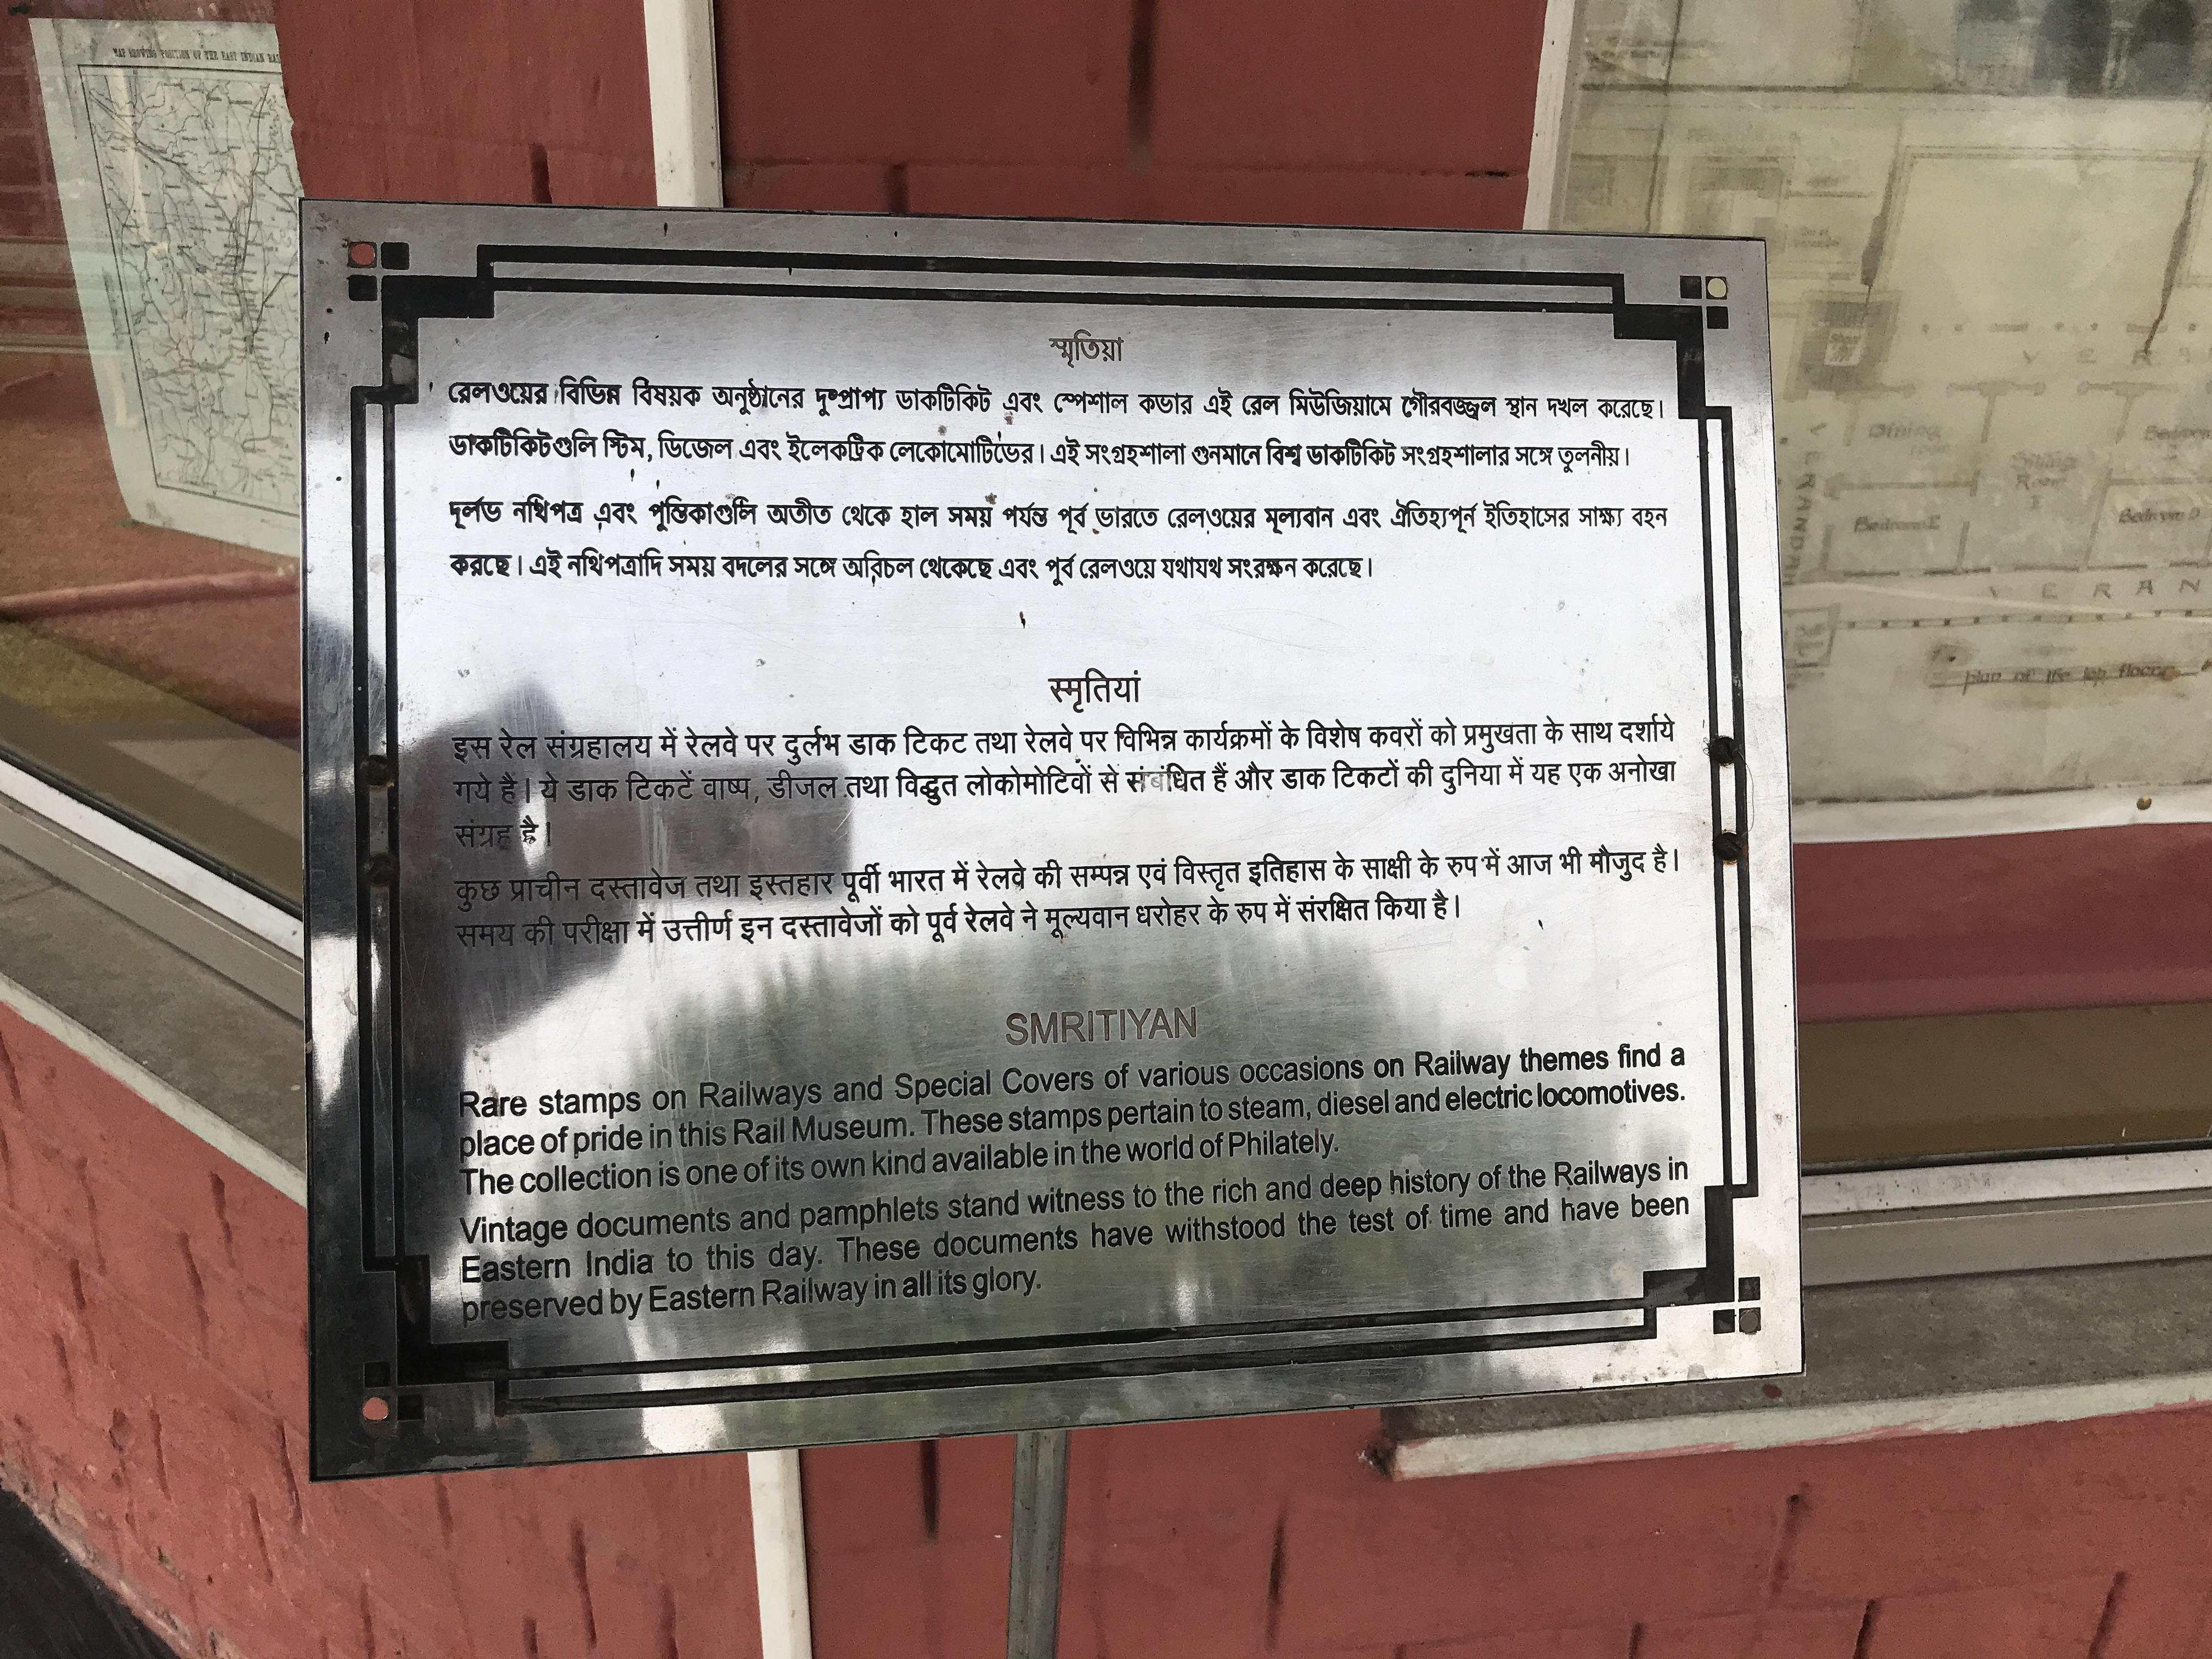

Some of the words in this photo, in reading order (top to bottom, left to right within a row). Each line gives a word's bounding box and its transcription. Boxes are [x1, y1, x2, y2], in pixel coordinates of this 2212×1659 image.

[1045, 318, 1132, 375] স্মৃতিয়া
[440, 381, 556, 416] রেলওয়ের
[558, 368, 625, 413] বিভিন্ন
[623, 368, 713, 413] বিষয়ক
[703, 373, 816, 422] অনুষ্ঠানের
[809, 380, 895, 420] দুষ্প্রাপ্য
[888, 374, 998, 417] ডাকটিকিট
[994, 385, 1048, 420] এবং
[1045, 383, 1135, 424] স্পেশাল
[1131, 391, 1197, 418] কভার
[1200, 375, 1239, 421] এই
[1233, 386, 1287, 427] রেল
[1278, 380, 1397, 424] মিউজিয়ামে
[1393, 384, 1503, 422] গৌরবজ্জ্বল
[1502, 393, 1542, 420] স্থান
[1542, 394, 1594, 420] দখল
[1589, 393, 1659, 424] করেছে
[445, 420, 646, 467] ডাকটিকিটগুলি স্টিম
[644, 417, 742, 467] ডিজেল
[738, 428, 782, 469] এবং
[780, 428, 891, 470] ইলেকট্রিক
[883, 426, 1040, 469] লেকোমোটিভের
[1049, 432, 1194, 474] এইসংগ্রহশালা
[1185, 430, 1401, 477] গুনমানে বিশ্ব ডাকটিকিট
[1388, 439, 1514, 472] টসংগ্রহশালার
[1508, 435, 1625, 477] সঙ্গে তুলনীয়
[439, 490, 509, 533] দূর্লভ
[509, 486, 587, 531] নথিপত্র
[588, 495, 642, 534] এবং
[651, 488, 766, 538] পুস্তিকাগুলি
[760, 485, 844, 531] অতীত
[838, 497, 946, 540] থেকে হাল
[943, 500, 996, 533] সময়
[1001, 490, 1052, 533] পর্যন্ত
[1051, 498, 1164, 539] পূর্ব ভারতে
[1165, 498, 1263, 534] রেলওয়ের
[1259, 500, 1338, 540] মূল্যবান
[1335, 499, 1385, 532] এবং
[1386, 494, 1479, 550] ঐতিহ্যপূর্ন
[1480, 493, 1576, 534] ইতিহাসের
[1571, 498, 1625, 530] সাক্ষ্য
[1624, 504, 1672, 535] বহন
[444, 546, 515, 588] করছে
[522, 541, 664, 584] এইনথিপত্রাদি
[661, 552, 723, 580] সময়
[718, 551, 794, 586] বদলের
[779, 553, 844, 586] রসঙ্গে
[837, 542, 918, 597] অবিচল
[917, 553, 997, 585] থেকেছে
[997, 552, 1048, 587] এবং
[1040, 548, 1081, 594] পুর্ব
[1072, 551, 1163, 588] রেলওয়ে
[1160, 552, 1230, 587] যথাযথ
[1220, 550, 1305, 589] সংরক্ষন
[1300, 548, 1375, 583] করেছে৷
[1043, 662, 1151, 716] स्मृतियां
[443, 769, 497, 806] गये
[450, 731, 496, 768] इस
[486, 764, 527, 809] हैं
[498, 721, 541, 766] रेल
[533, 764, 560, 811] ये
[558, 769, 629, 815] डाक
[542, 725, 664, 774] संग्रहालय
[619, 763, 701, 811] टिकटें
[650, 721, 684, 760] में
[681, 720, 743, 761] रेलवे
[697, 774, 758, 805] वाष्प
[741, 729, 782, 760] पर
[765, 763, 846, 808] डीजल
[780, 716, 842, 769] दुर्लभ
[836, 769, 894, 809] तथा
[848, 729, 902, 764] डाक
[892, 759, 967, 812] विद्धुत
[898, 716, 972, 758] टिकट
[970, 729, 1019, 760] तथा
[961, 756, 1094, 803] लोकोमोटिवों
[1017, 720, 1079, 756] रेलवे
[1073, 725, 1115, 758] पर
[1091, 757, 1128, 801] से
[1108, 716, 1177, 757] विभिन्न
[1118, 758, 1210, 799] संबंधित
[1209, 755, 1232, 799] हैं
[1178, 714, 1276, 760] कार्यक्रमों
[1231, 758, 1282, 798] और
[1277, 710, 1301, 753] के
[1272, 761, 1333, 795] डाक
[1298, 711, 1368, 756] विशेष
[1325, 752, 1407, 792] टिकटों
[1363, 706, 1431, 752] कवरों
[1403, 753, 1441, 790] की
[1425, 713, 1464, 754] काे
[1437, 755, 1506, 799] दु‍निया
[1455, 715, 1542, 763] प्रमुखता
[1504, 747, 1528, 788] में
[1526, 761, 1562, 793] यह
[1536, 704, 1569, 745] के
[1561, 756, 1611, 793] एक
[1565, 715, 1617, 749] साथ
[1605, 748, 1679, 788] अनोखा
[1613, 701, 1684, 746] दर्शाये
[448, 808, 518, 857] संग्रह
[516, 810, 550, 858] है
[444, 876, 507, 923] कुछ
[448, 917, 520, 952] समय
[520, 904, 563, 949] की
[499, 862, 590, 910] प्राचीन
[555, 909, 633, 952] परीक्षा
[591, 869, 695, 905] दस्तावेज
[629, 906, 664, 946] में
[662, 902, 735, 947] उत्तीर्ण
[681, 870, 744, 903] तथा
[730, 913, 782, 947] इन
[744, 870, 839, 906] इस्तहार
[780, 899, 892, 944] दस्तावेजों
[837, 851, 892, 905] पूर्वी
[884, 894, 935, 941] को
[877, 861, 952, 899] भारत
[923, 892, 967, 949] पूर्व
[948, 856, 974, 896] में
[960, 892, 1019, 940] रेलवे
[966, 854, 1031, 893] रेलवे
[1014, 892, 1051, 941] ने
[1027, 855, 1064, 891] की
[1032, 901, 1133, 955] मूल्यवान
[1066, 858, 1137, 893] सम्पन्न
[1133, 848, 1175, 894] एवं
[1129, 892, 1208, 936] धरोहर
[1166, 851, 1249, 895] वि‍स्‍तृत
[1201, 888, 1231, 929] के
[1233, 899, 1267, 932] रुप
[1269, 885, 1296, 930] में
[1244, 845, 1338, 894] इतिहास
[1288, 888, 1375, 926] संरक्षित
[1327, 844, 1358, 884] के
[1359, 839, 1419, 883] साक्षी
[1366, 881, 1430, 923] किया
[1415, 846, 1449, 883] के
[1429, 878, 1457, 924] है
[1443, 849, 1483, 881] रुप
[1478, 839, 1506, 877] में
[1506, 848, 1558, 879] आज
[1550, 836, 1588, 881] भी
[1588, 842, 1659, 887] मौजुद है
[1645, 838, 1681, 882] है।
[997, 1005, 1203, 1051] SMRITIYAN